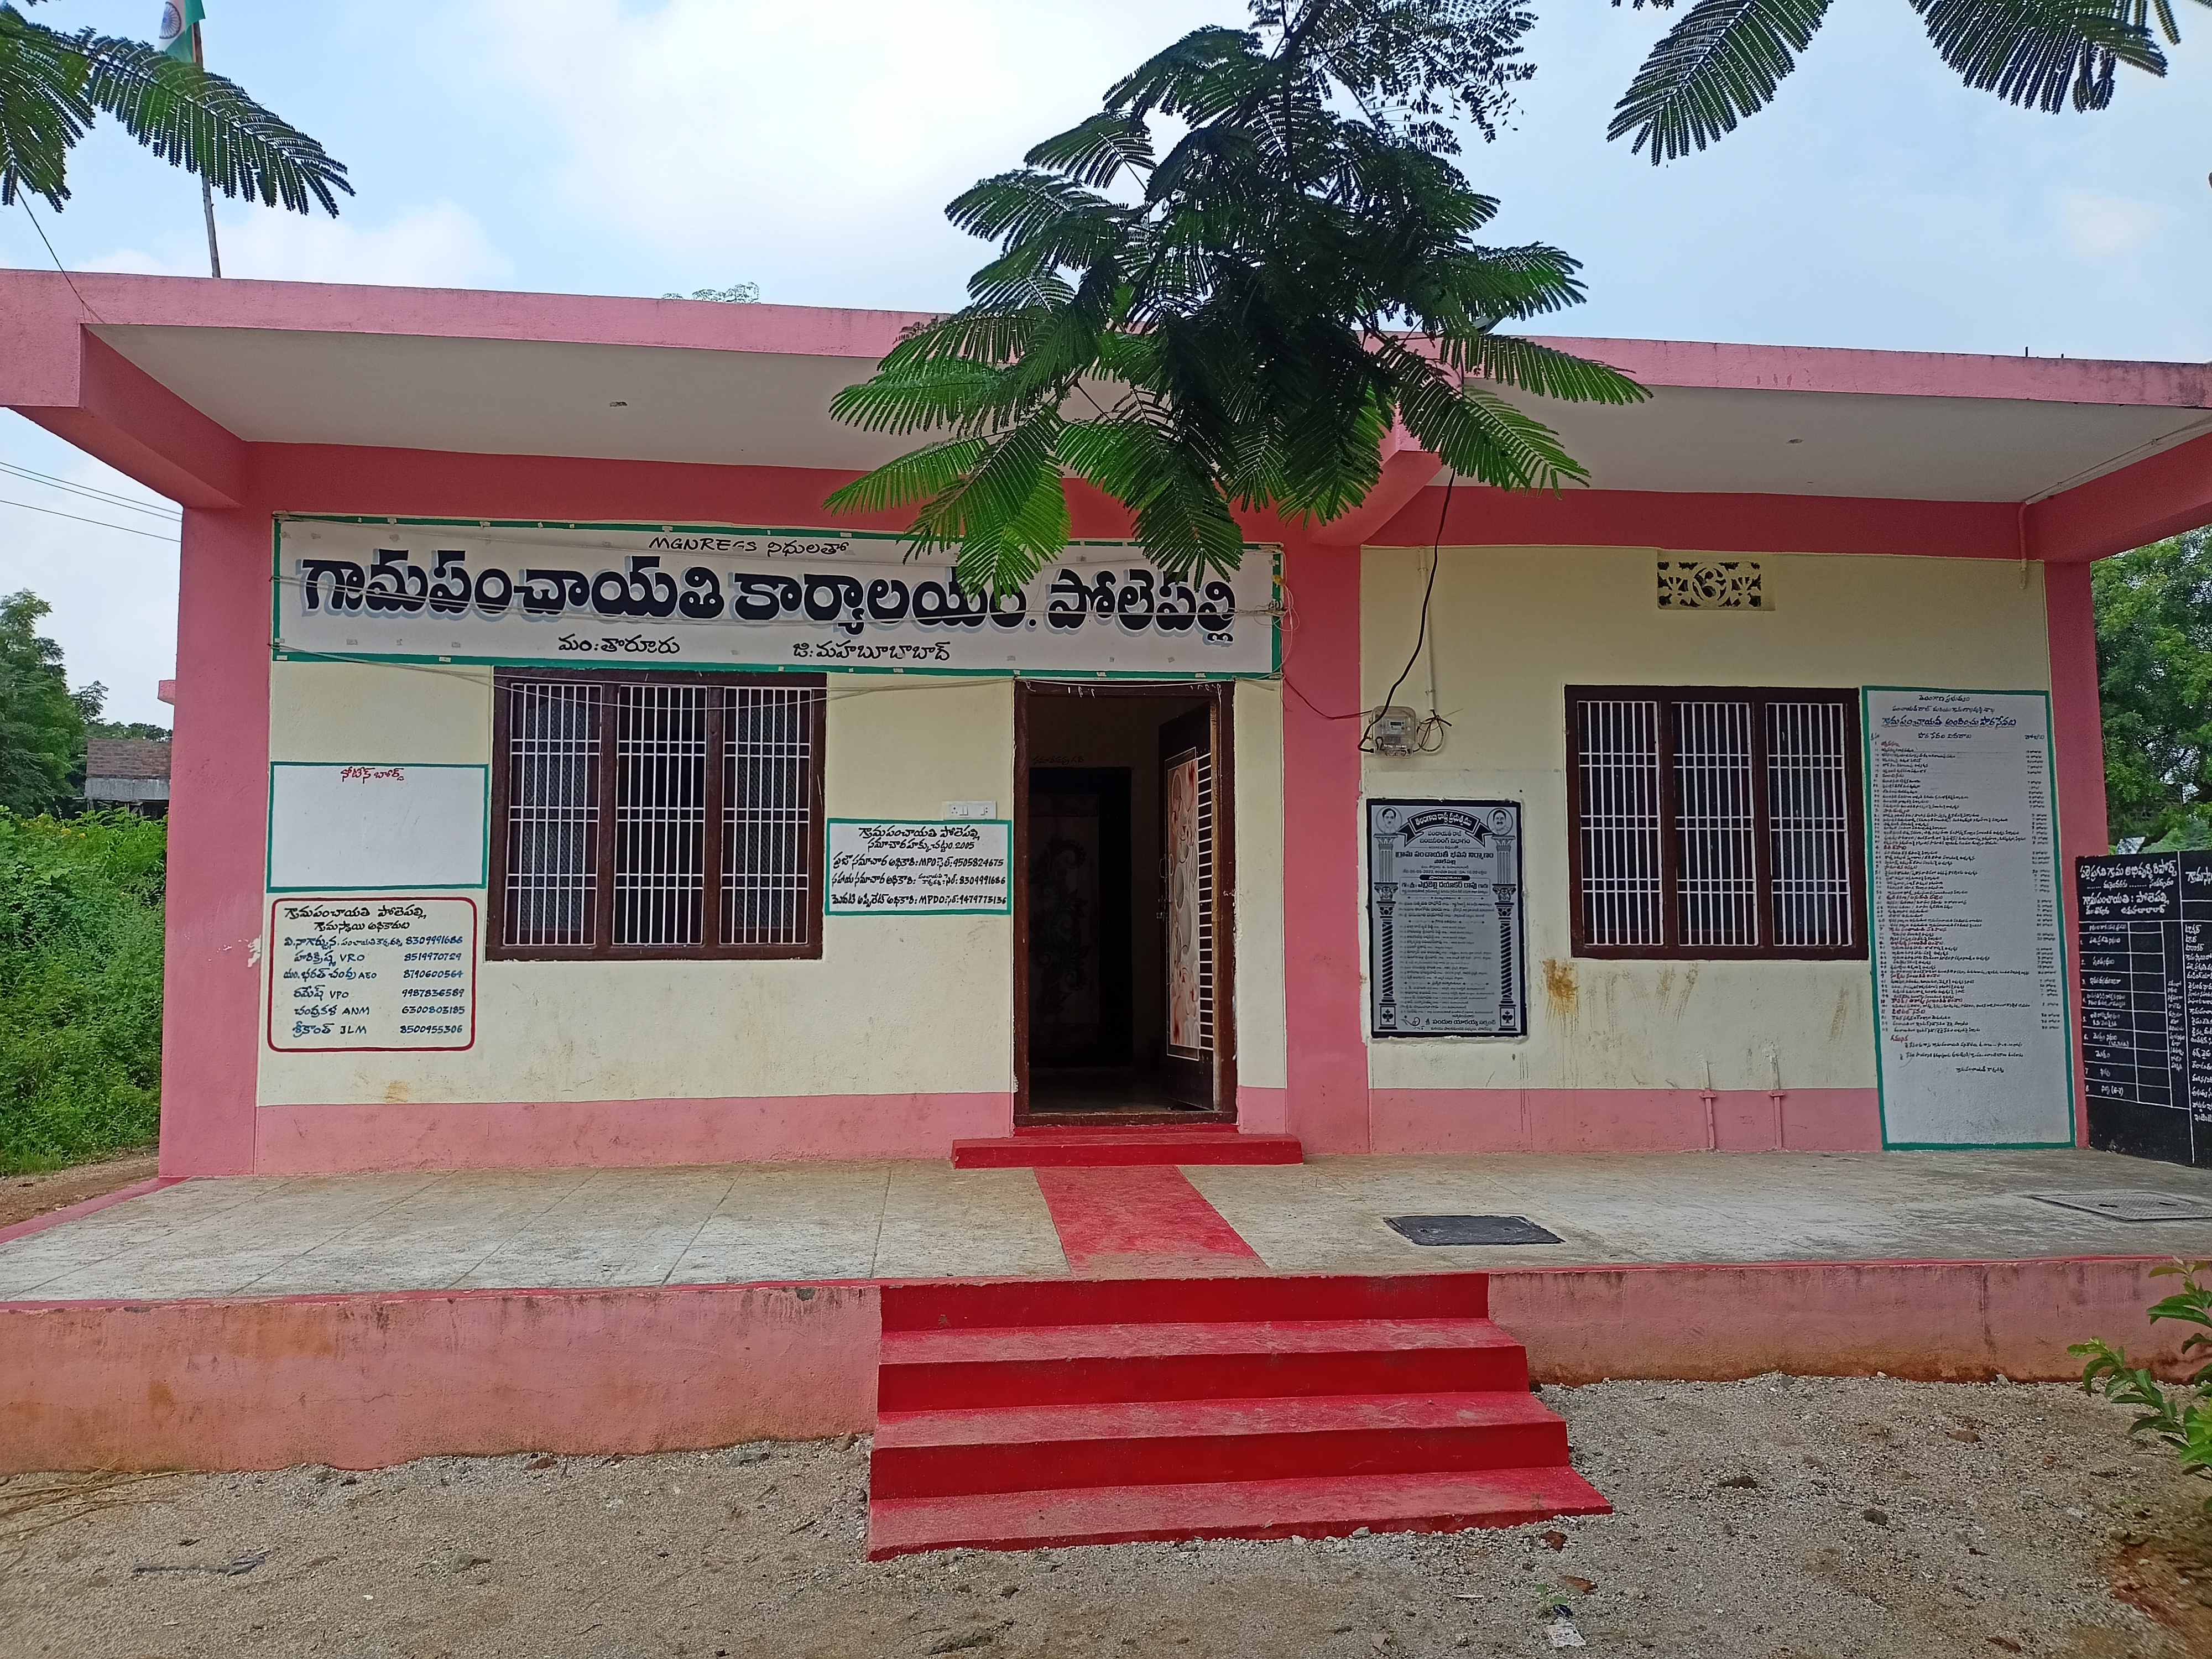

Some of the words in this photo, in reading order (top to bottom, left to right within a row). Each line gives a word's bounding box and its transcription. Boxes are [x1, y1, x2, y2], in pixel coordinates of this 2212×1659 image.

[645, 528, 761, 555] MGNREGS
[758, 532, 852, 561] నిధులతో
[303, 540, 730, 624] గామపంచాయతి
[729, 563, 1041, 638] కార్యాలయల.
[1044, 561, 1244, 645] పోలెపల్లి
[556, 628, 684, 658] మం: తొరూరు
[791, 636, 955, 664] జి: మహబూబాబాద్
[1914, 690, 1973, 705] తెలంగాణ ప్రభుత్వం
[1881, 711, 1944, 728] గ్రామపంచాయతీ
[1944, 714, 1981, 727] అందించు.
[1944, 728, 1974, 743] వివరాల
[336, 763, 408, 784] నోటీస్ బోర్డ్
[1412, 810, 1441, 828] తెలంగాణ
[1436, 808, 1476, 829] రాష్ట్ర ప్రభుత్వము
[855, 820, 939, 841] గ్రామపంచాయతి
[864, 833, 975, 853] సమాచారహక్కుచట్టం 2005
[938, 822, 983, 844] పోలెపల్లి
[1417, 834, 1452, 845] ఇంజనీ౦౦గ్
[1448, 836, 1472, 847] విభాగం
[832, 849, 891, 870] ప్రజౌసమాచార
[829, 868, 918, 887] సహాయ సమాచార అధికారి
[1394, 848, 1414, 860] గ్రామ
[1415, 878, 1438, 891] ఎర్రబెల్లి
[1410, 848, 1449, 859] పంచాయతీ
[1436, 879, 1464, 890] దయాకర్
[1448, 847, 1469, 862] భవన
[1461, 878, 1480, 891] రావు
[1465, 848, 1495, 861] నిర్మాణం
[1475, 880, 1491, 891] గారు
[2124, 854, 2180, 883] -అభివృద్ధి రిపోర్ట్
[855, 890, 916, 910] అప్పిలేట్ అధికారి
[916, 893, 946, 905] MPDO
[950, 894, 1009, 906] 5:9479775136
[2083, 885, 2132, 909] గ్రామపంచాయతి
[2131, 887, 2174, 905] పోలెపల్లి
[283, 898, 373, 922] గ్రామపంచాయతి
[374, 900, 427, 920] పోలెపల్లి
[311, 916, 369, 935] గ్రామస్థాయి
[366, 917, 411, 935] అధికారుట
[283, 932, 340, 952] వి.నాగార్జున.
[340, 932, 405, 949] పంచాయతీ కార్యదర్శి
[402, 933, 465, 948] 8309991686
[293, 944, 340, 969] హరిక్రిష్ణ
[339, 952, 367, 963] VRO
[403, 950, 464, 964] 8519970729
[279, 963, 330, 984] యు.భరత్
[325, 964, 359, 981] చంవు
[358, 969, 379, 980] AEO
[402, 967, 463, 981] 8790600564
[291, 982, 328, 1001] రమేష్
[328, 987, 351, 1002] VPO
[400, 987, 467, 1000] 9987836589
[294, 1001, 339, 1019] చంద్రకళ
[340, 1005, 371, 1016] ANM
[400, 1004, 469, 1017] 6300803185
[289, 1016, 337, 1040] శ్రీకాంత్
[340, 1024, 369, 1037] JLM
[400, 1020, 464, 1037] 8500955306